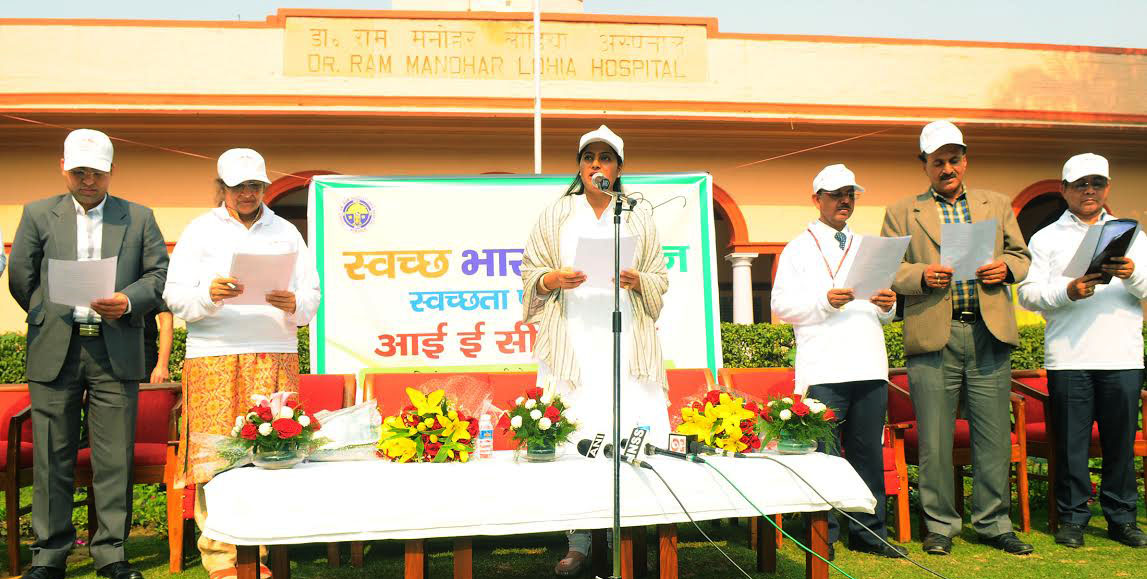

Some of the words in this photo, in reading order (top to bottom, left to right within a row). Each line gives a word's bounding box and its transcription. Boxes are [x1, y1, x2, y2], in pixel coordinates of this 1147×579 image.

[308, 22, 345, 54] डा.
[350, 25, 393, 52] राम
[409, 19, 479, 53] मनोहर
[502, 18, 574, 57] लोहिया
[599, 28, 689, 58] अस्पताल
[304, 51, 344, 77] OR.
[347, 53, 396, 78] RAM
[400, 52, 509, 80] MANOHAR
[513, 53, 580, 81] ट्राइट
[589, 56, 687, 82] HOSPITAL
[342, 246, 454, 285] स्वच्छ
[458, 245, 526, 280] भार
[407, 286, 511, 316] स्वच्छता
[371, 318, 450, 363] आई
[457, 315, 489, 362] ई
[494, 315, 546, 359] सी